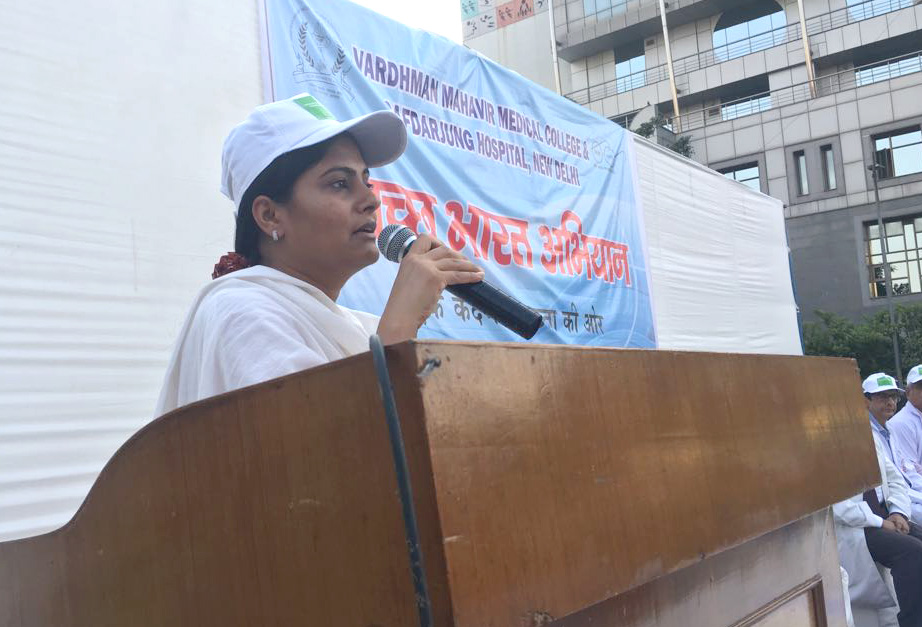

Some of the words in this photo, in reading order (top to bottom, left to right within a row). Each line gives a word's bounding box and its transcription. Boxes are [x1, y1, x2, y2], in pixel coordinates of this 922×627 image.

[352, 43, 442, 105] VARDHMAN
[394, 103, 477, 155] FDARJUNG
[439, 81, 498, 128] MAHAVIR
[473, 129, 531, 171] HOSPITAL,
[495, 103, 545, 143] MEDICAL
[527, 151, 555, 181] NEW
[541, 119, 585, 165] COLLEGE
[550, 159, 586, 191] DELHI
[443, 196, 535, 271] भारत
[537, 207, 631, 288] अभियान
[561, 299, 581, 339] की
[580, 301, 608, 337] ओर